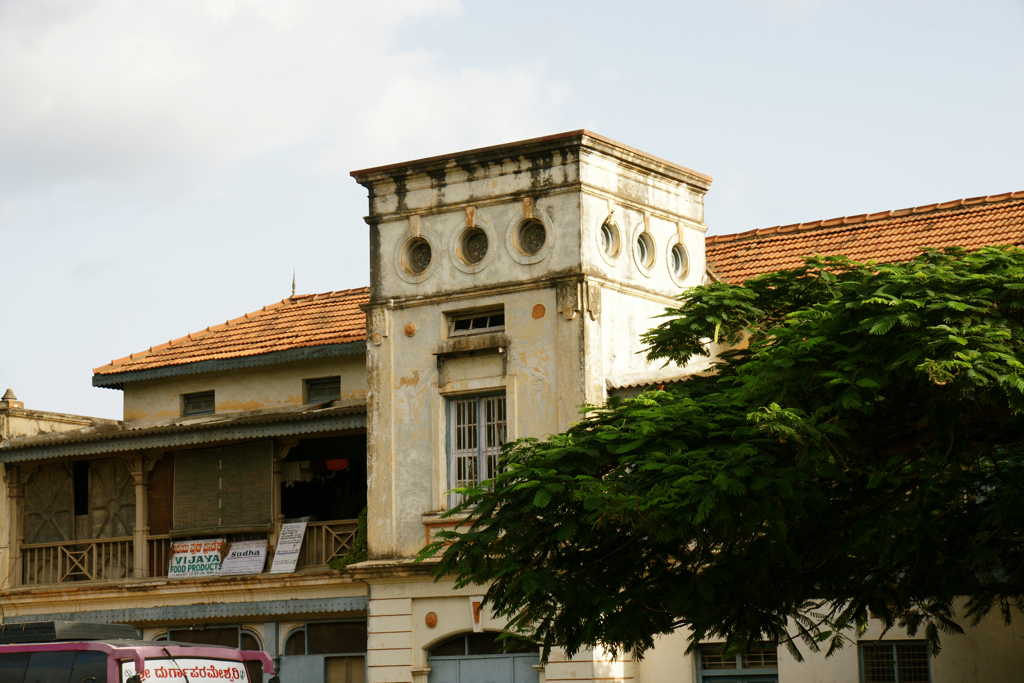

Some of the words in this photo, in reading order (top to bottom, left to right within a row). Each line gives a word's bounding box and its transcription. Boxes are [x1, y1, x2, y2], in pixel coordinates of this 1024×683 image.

[167, 537, 192, 557] ಏಜಯ
[187, 537, 208, 557] ಫುಡ್
[199, 538, 227, 556] ಪ್ರಾಡಕ
[163, 561, 190, 577] FOOD
[171, 551, 225, 567] VIJAYA
[186, 559, 225, 575] PRODUCTS
[149, 659, 244, 683] ದುರ್ಗಾಪರಮೇಶ್ವರಿ